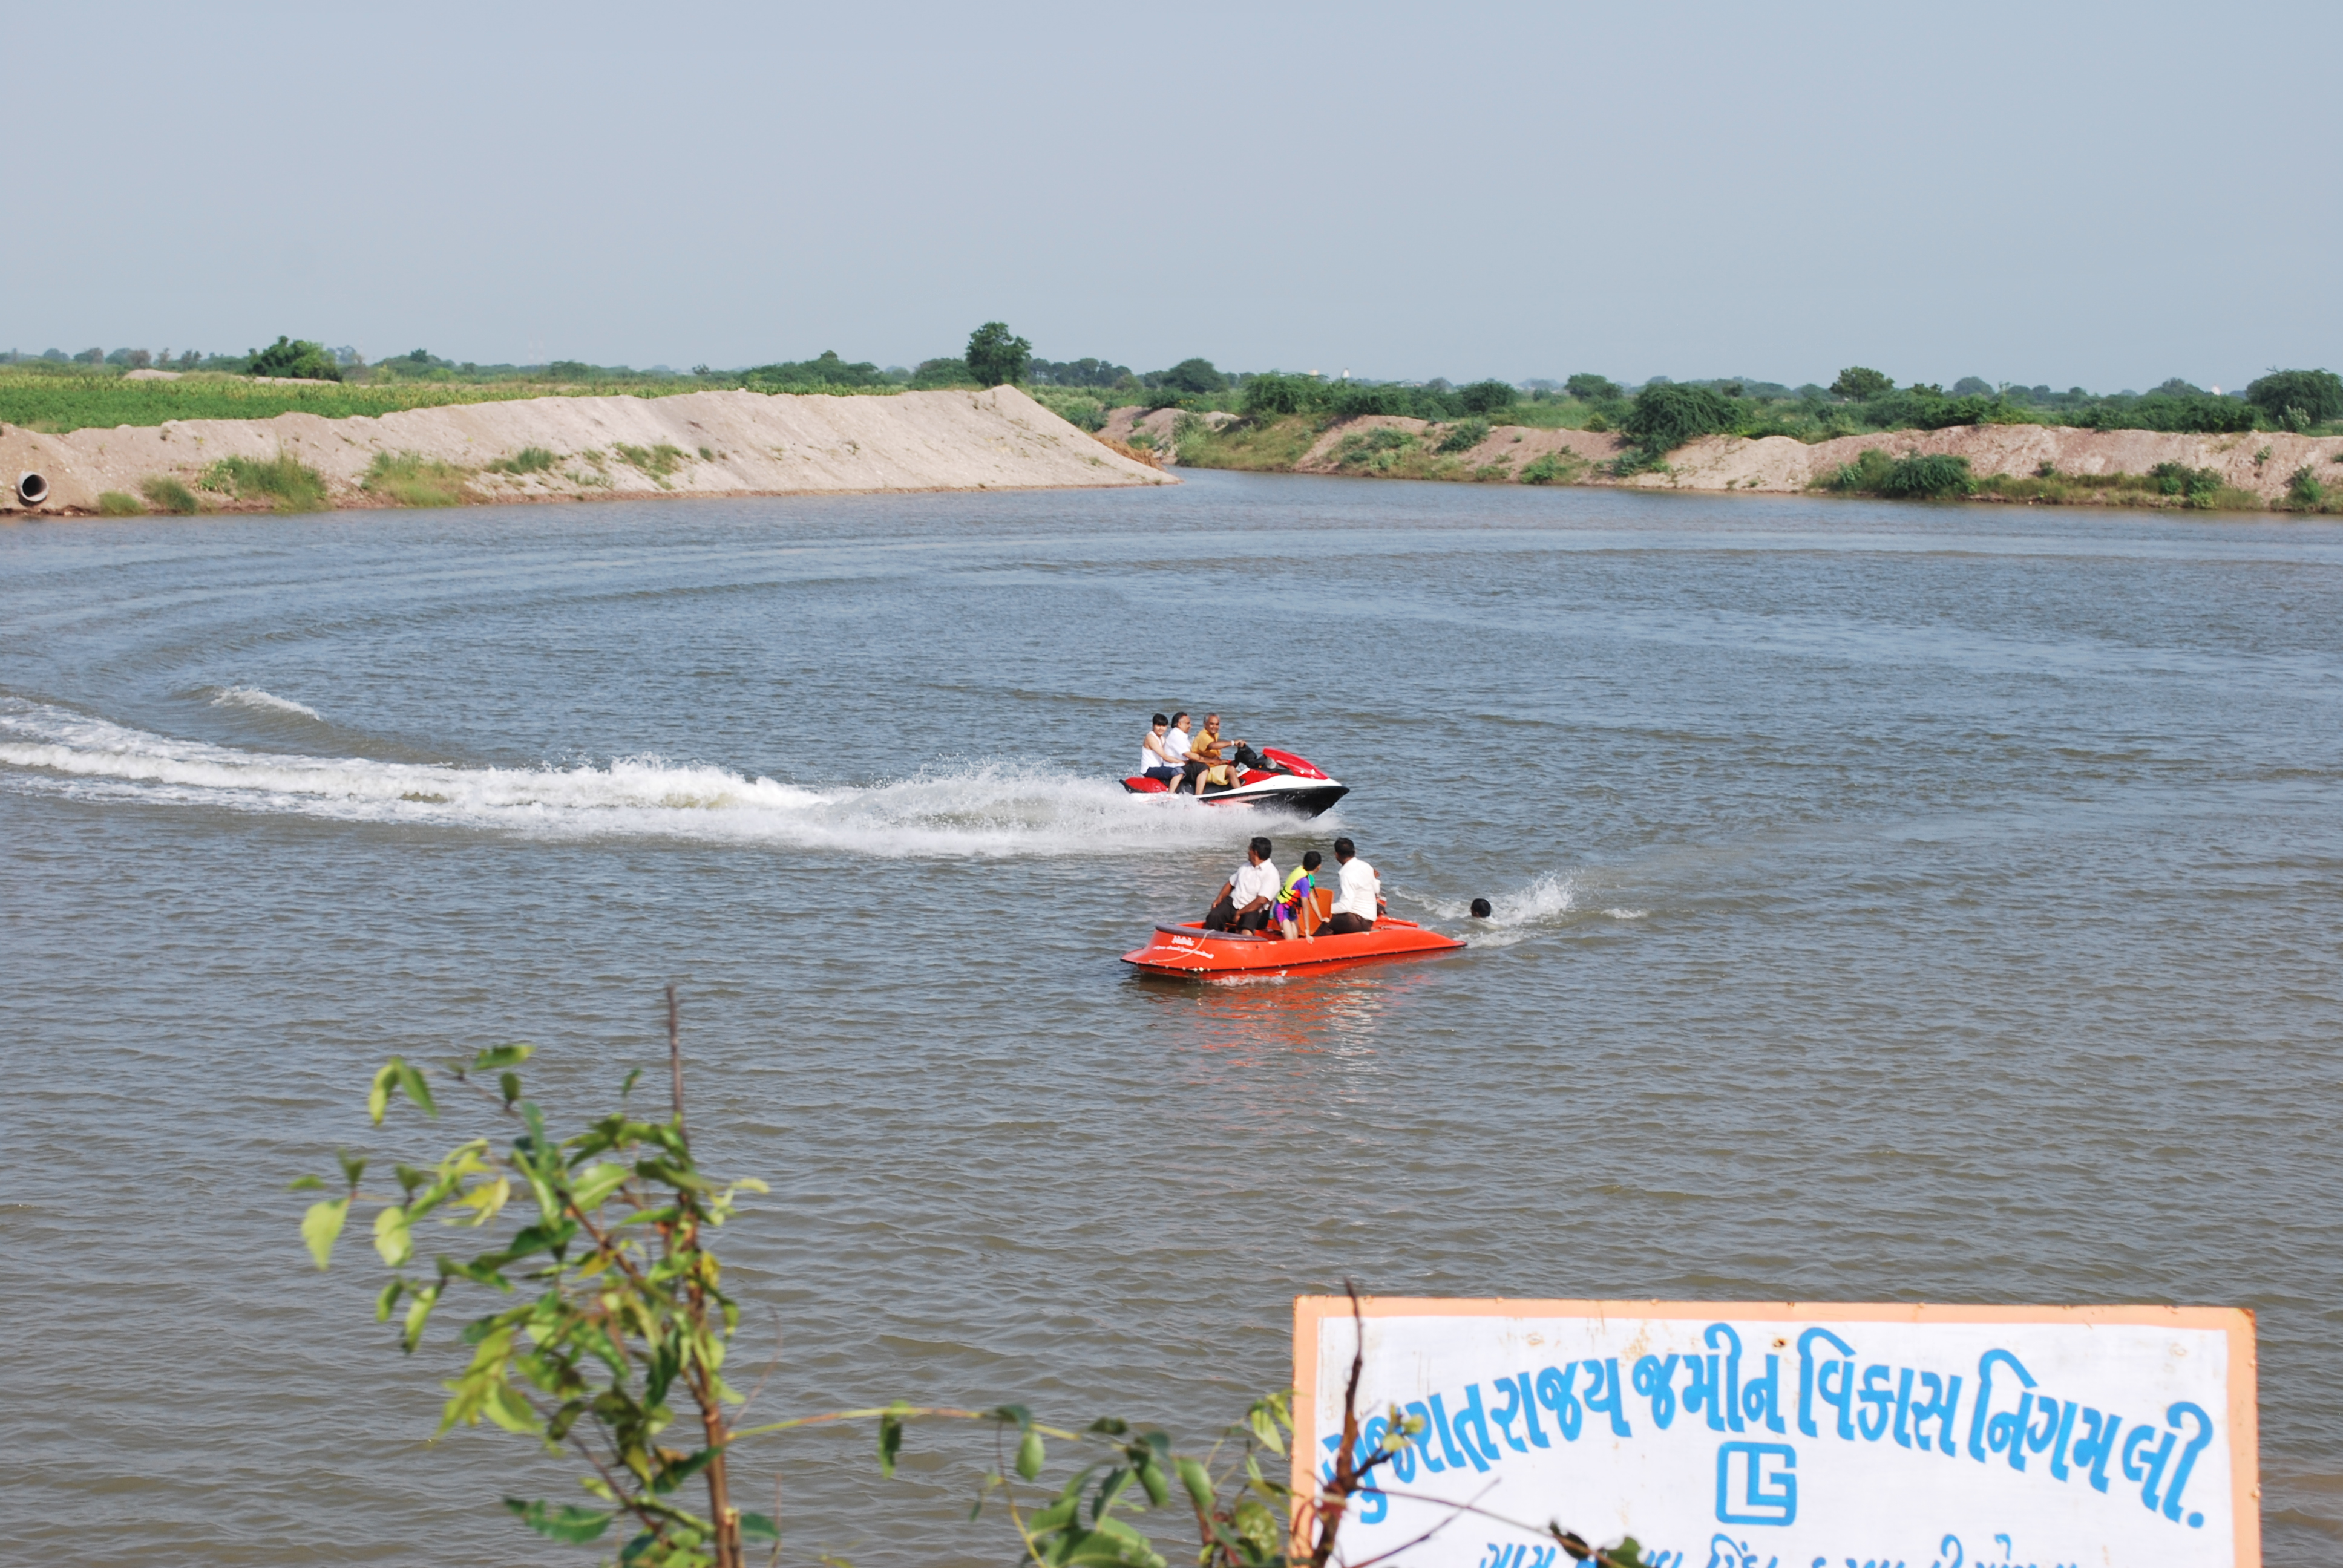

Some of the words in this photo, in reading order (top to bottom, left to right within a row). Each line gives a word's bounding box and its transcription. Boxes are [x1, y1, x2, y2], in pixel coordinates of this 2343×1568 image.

[1303, 1374, 1508, 1538] ગુજરાત
[1487, 1353, 1639, 1460] રાજય
[1628, 1316, 1790, 1439] જમીન
[1786, 1321, 1970, 1465] વિકાસ
[1959, 1344, 2224, 1538] નિગમલી.